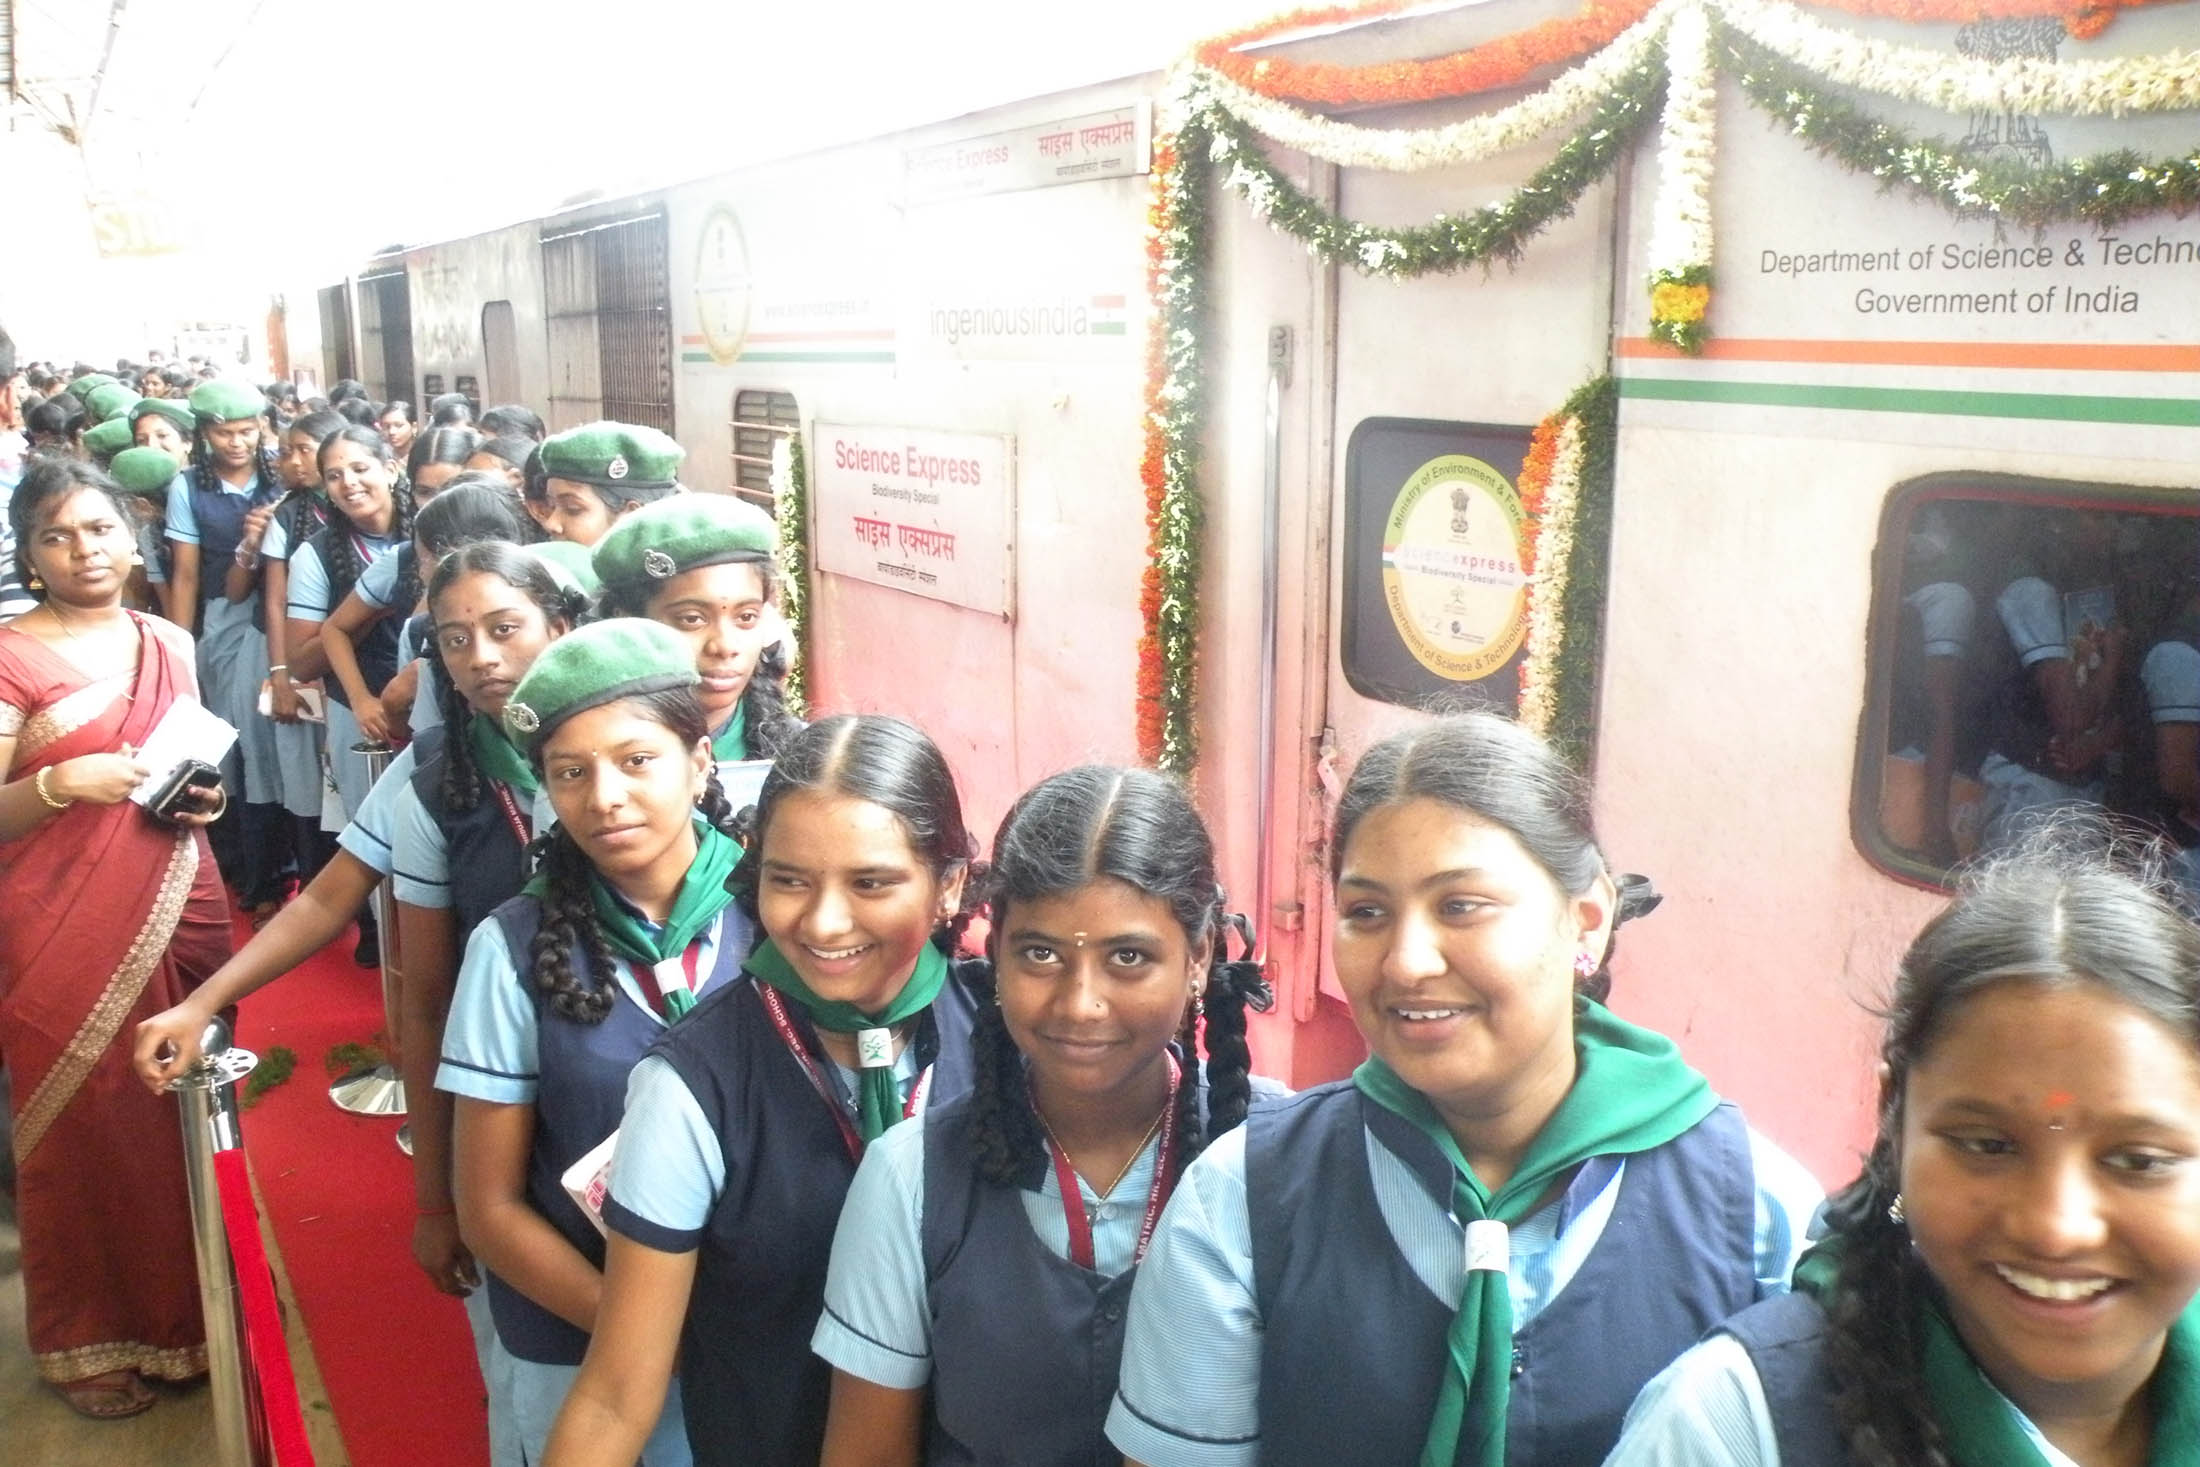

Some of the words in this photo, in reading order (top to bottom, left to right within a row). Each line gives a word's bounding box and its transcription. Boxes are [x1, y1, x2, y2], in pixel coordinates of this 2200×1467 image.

[1034, 119, 1077, 165] साइंस
[1077, 109, 1140, 159] एक्सप्रेस
[1759, 243, 1907, 284] Department
[1905, 239, 1939, 277] of
[1937, 239, 2053, 273] Science
[2063, 234, 2087, 270] &
[2092, 231, 2199, 270] Techn
[923, 293, 1093, 351] ingeniousindia
[1853, 283, 2020, 321] Government
[2023, 281, 2064, 321] of
[2063, 281, 2142, 317] India
[833, 433, 903, 481] Science
[904, 442, 986, 490] Express
[867, 481, 915, 507] Biodiversity
[909, 487, 944, 509] Special
[843, 508, 896, 558] साइंस
[894, 514, 961, 563] एक्सप्रेस